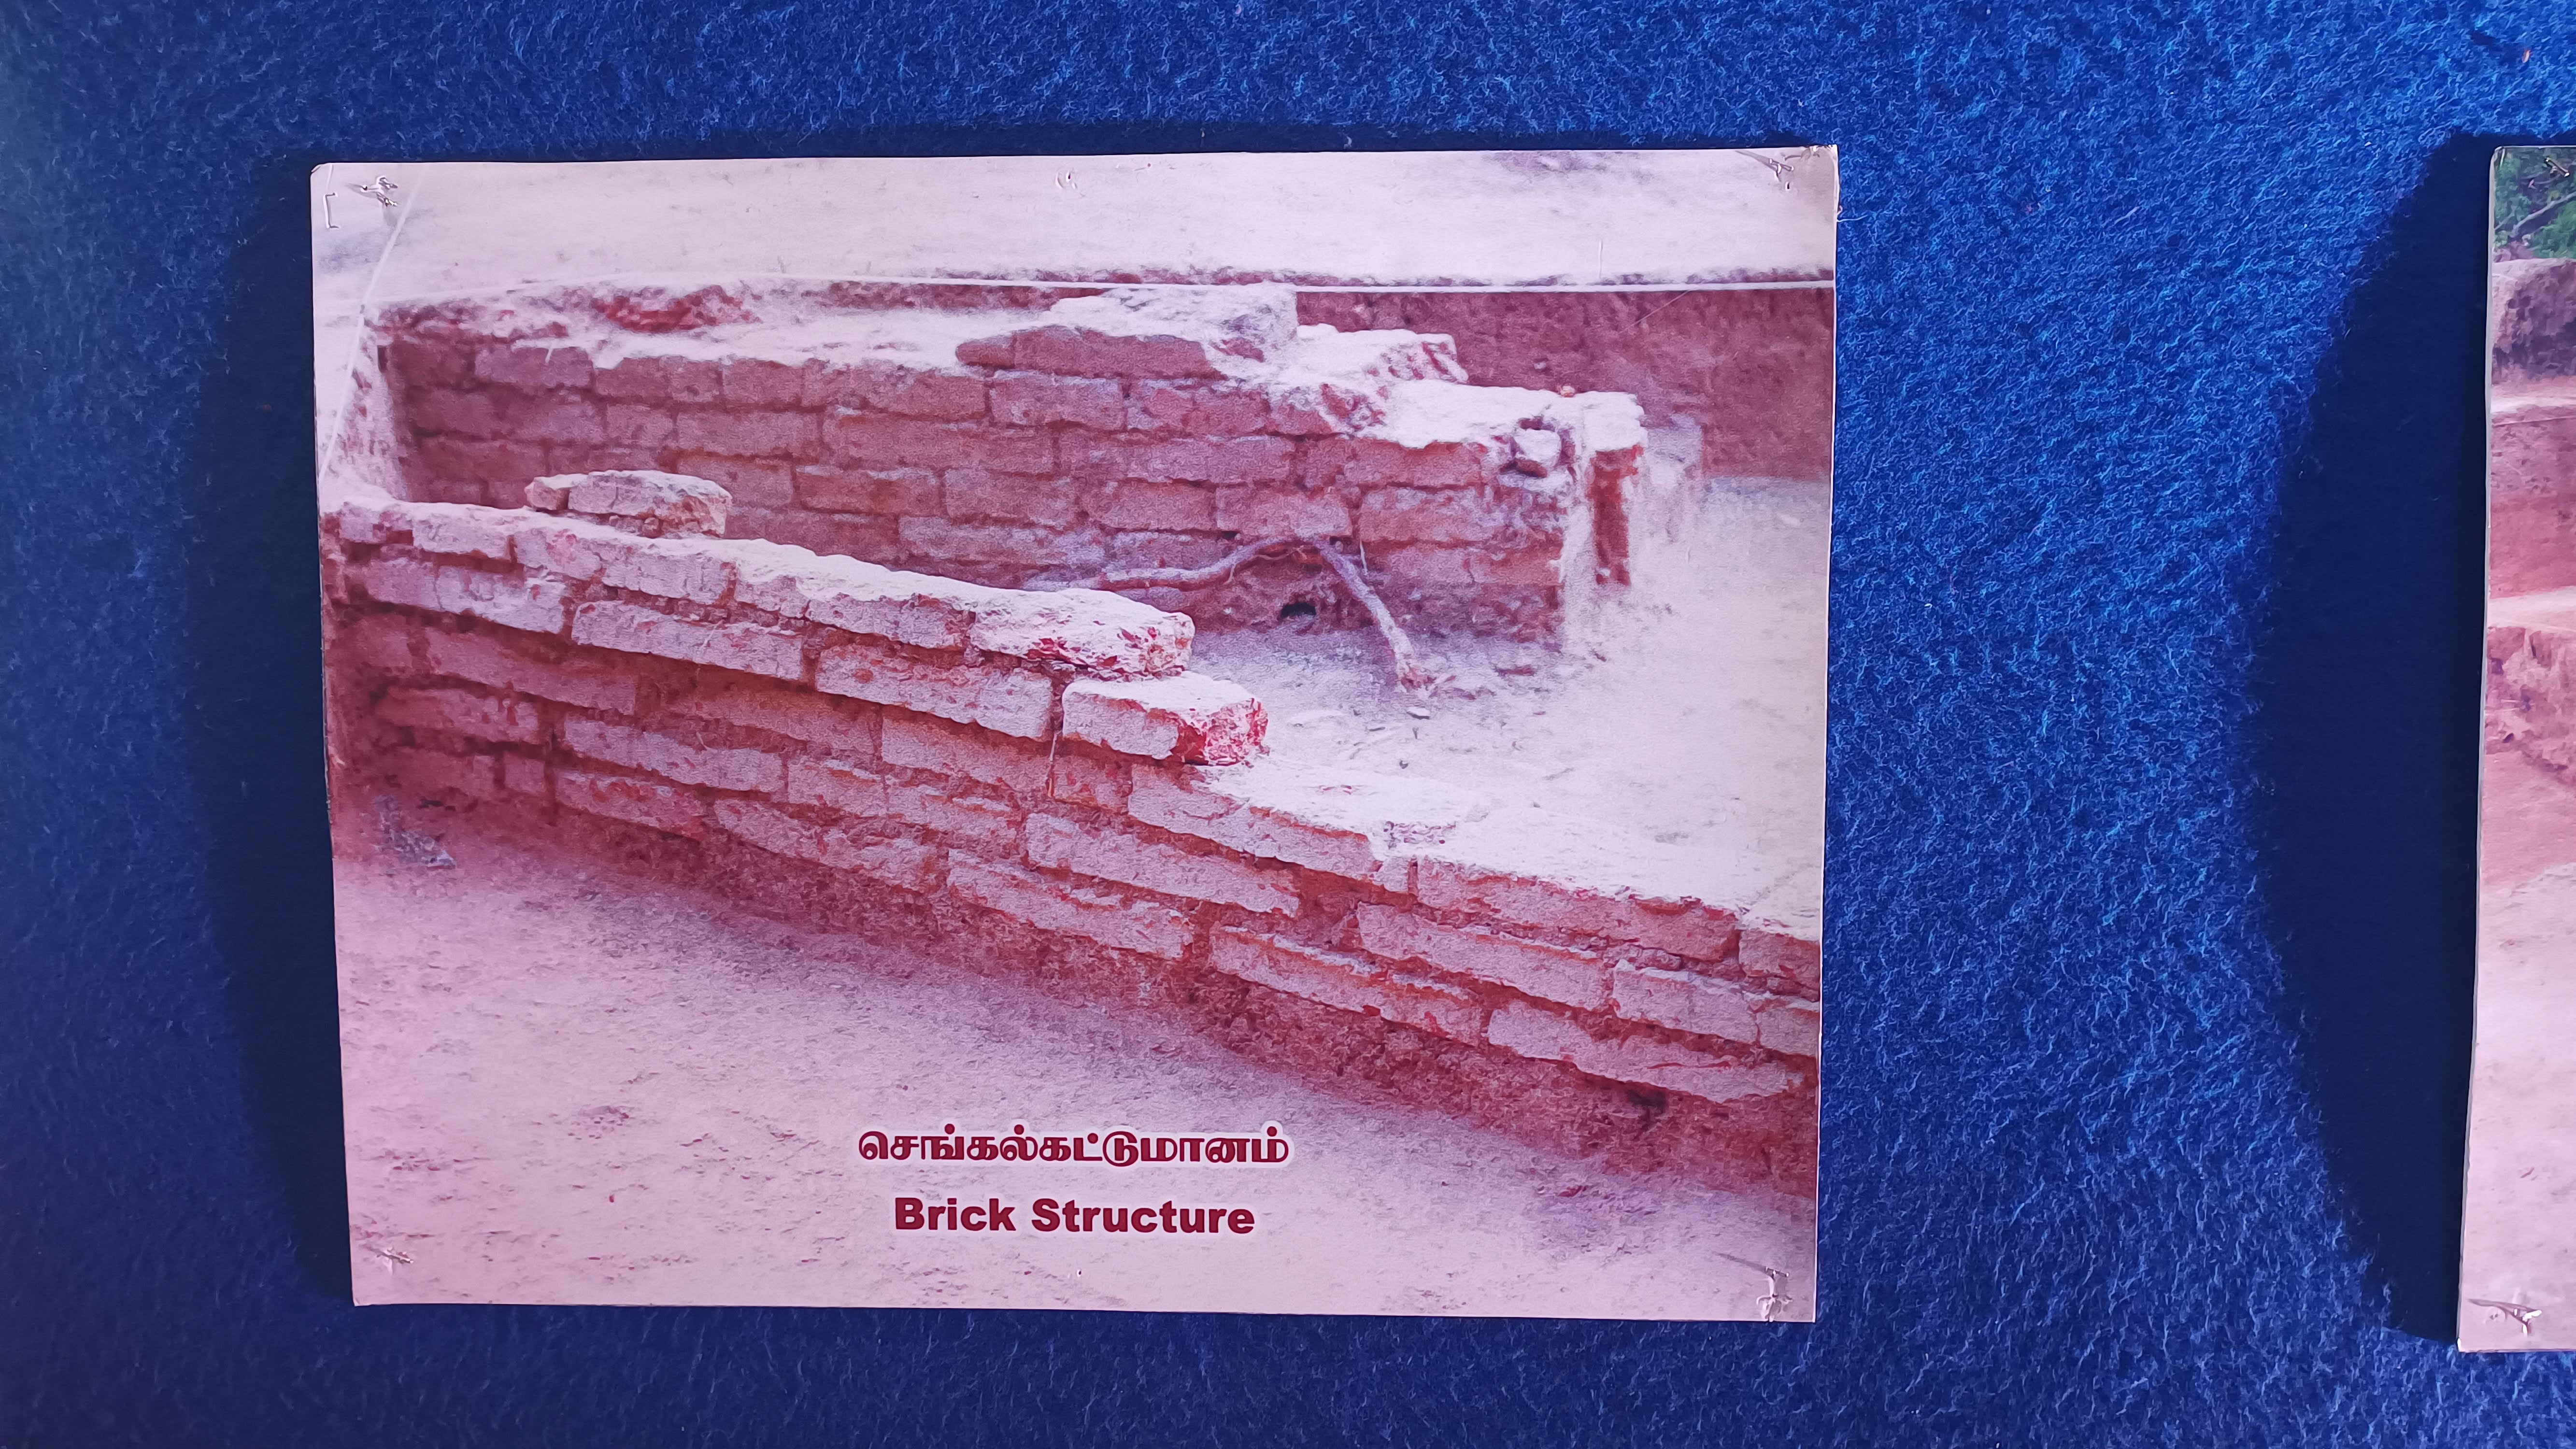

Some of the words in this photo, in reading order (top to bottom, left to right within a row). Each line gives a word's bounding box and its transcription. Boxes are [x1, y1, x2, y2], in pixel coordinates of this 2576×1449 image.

[853, 1112, 1295, 1175] செங்கல்கட்டுமானம்
[891, 1190, 1019, 1236] Brick
[1024, 1191, 1259, 1238] Structure